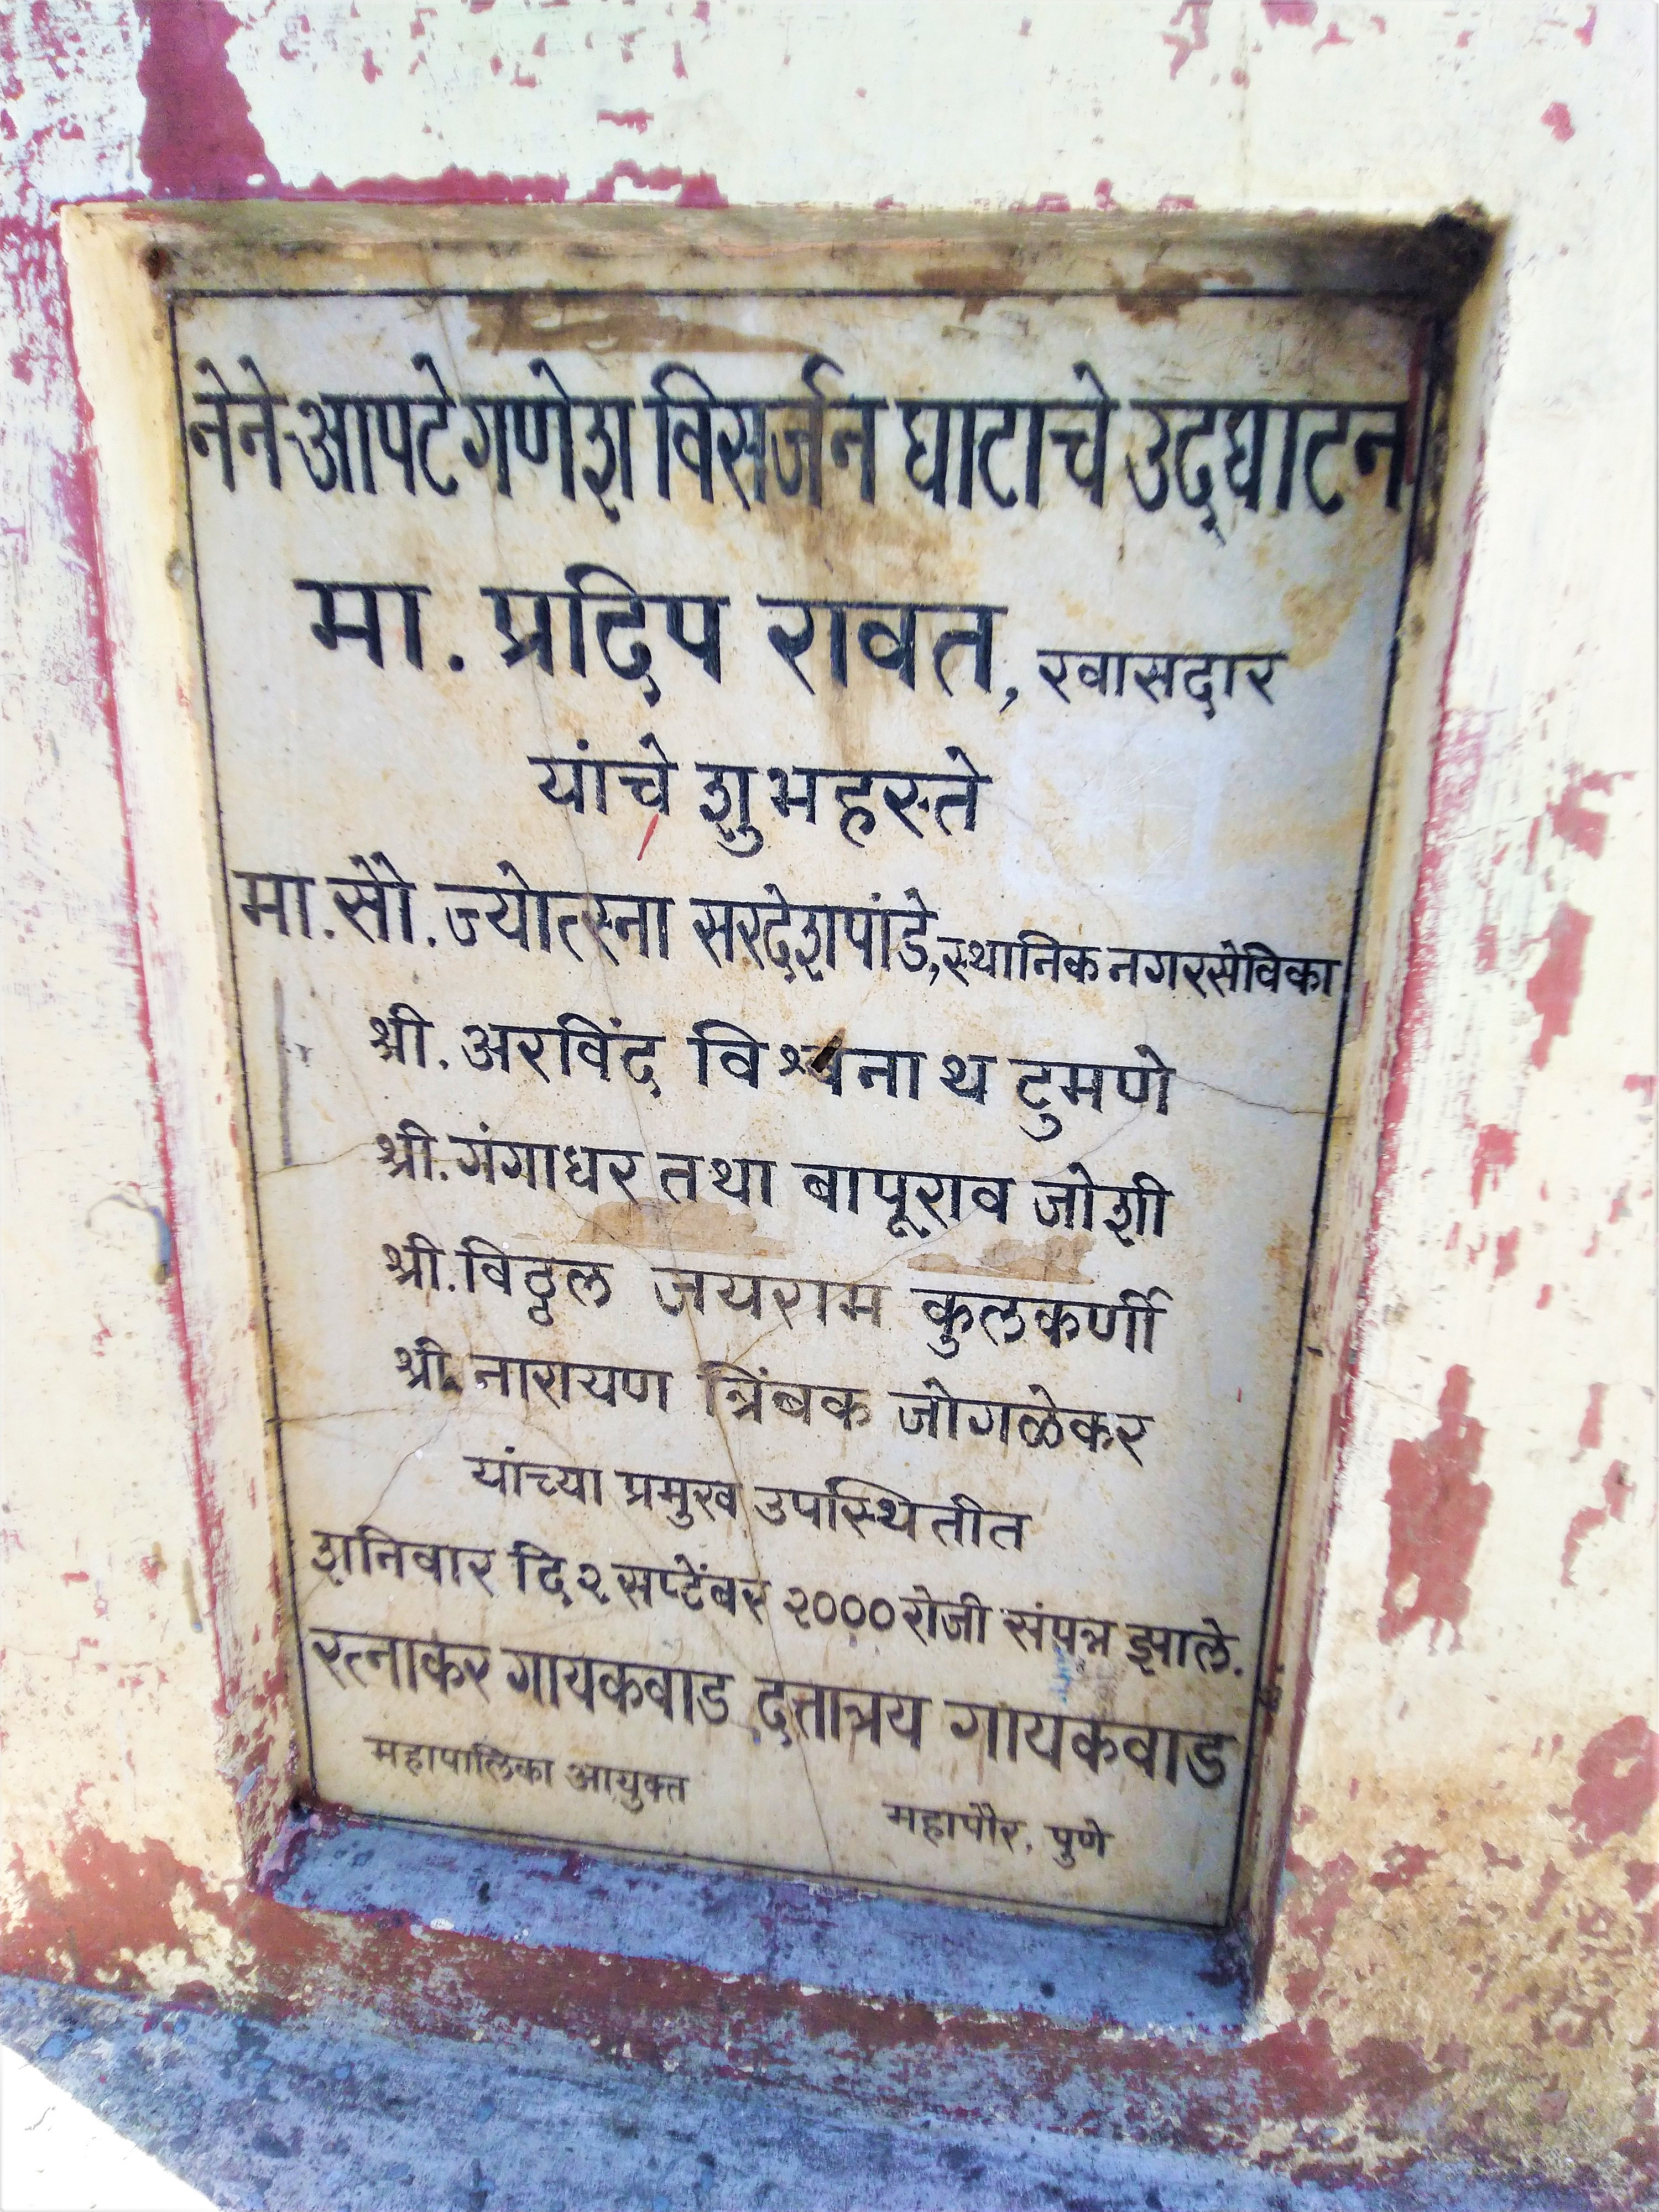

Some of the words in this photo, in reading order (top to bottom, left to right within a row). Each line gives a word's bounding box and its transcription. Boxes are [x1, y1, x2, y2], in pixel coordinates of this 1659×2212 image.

[176, 345, 470, 526] नेने-आपटे
[453, 347, 650, 540] गणेश
[636, 343, 891, 535] विसर्जन
[892, 351, 1124, 545] घाटाचे
[1121, 375, 1423, 550] उद्घाटन
[284, 570, 478, 695] मा.
[466, 559, 742, 720] प्रदिप
[747, 587, 1026, 726] रावत,
[1031, 635, 1300, 728] रवासदार
[504, 716, 684, 832] यांचे
[688, 739, 1000, 869] शुभहस्ते
[221, 853, 340, 951] मा.
[317, 844, 443, 959] सौ.
[429, 852, 683, 972] ज्येात्स्ना
[682, 878, 946, 992] सरदेशपांडे,
[935, 924, 1103, 999] स्थानिक
[1104, 931, 1345, 1005] नगरसेविका
[361, 989, 460, 1083] श्री.
[456, 1005, 676, 1109] अरविंद
[680, 1011, 1002, 1115] विश्वनाथ
[1005, 1037, 1188, 1147] टुमणे
[361, 1117, 453, 1192] श्री.
[442, 1115, 652, 1211] गंगाधर
[651, 1145, 784, 1221] तथा
[787, 1154, 1023, 1249] बापूराव
[1019, 1157, 1175, 1253] जोशी
[373, 1225, 460, 1302] श्री.
[383, 1329, 462, 1405] श्री
[451, 1229, 623, 1329] विठ्ठल
[464, 1347, 679, 1427] नारायण
[640, 1261, 896, 1338] जयराम
[687, 1350, 883, 1439] त्रिंबक
[885, 1366, 1159, 1479] जोगळेकर
[899, 1279, 1178, 1367] कुलकर्णी
[455, 1441, 608, 1509] यांच्या
[608, 1468, 748, 1535] प्रमुख
[748, 1465, 1039, 1560] उपस्थितीत
[298, 1519, 502, 1610] शनिवार
[306, 1623, 509, 1717] रत्नाकर
[357, 1725, 562, 1797] महापालिका
[501, 1533, 579, 1616] दि
[571, 1554, 616, 1610] २
[497, 1640, 744, 1739] गायकवाड
[558, 1758, 693, 1817] आयुक्त
[602, 1550, 780, 1633] सप्टेंबर
[778, 1584, 900, 1645] २०००
[748, 1668, 940, 1761] दत्तात्रय
[895, 1577, 996, 1660] रोजी
[873, 1791, 1037, 1860] महापौर,
[991, 1592, 1121, 1671] संपन्न
[1040, 1814, 1125, 1879] पुणे
[940, 1698, 1240, 1806] गायकवाड
[1120, 1604, 1250, 1684] झाले.